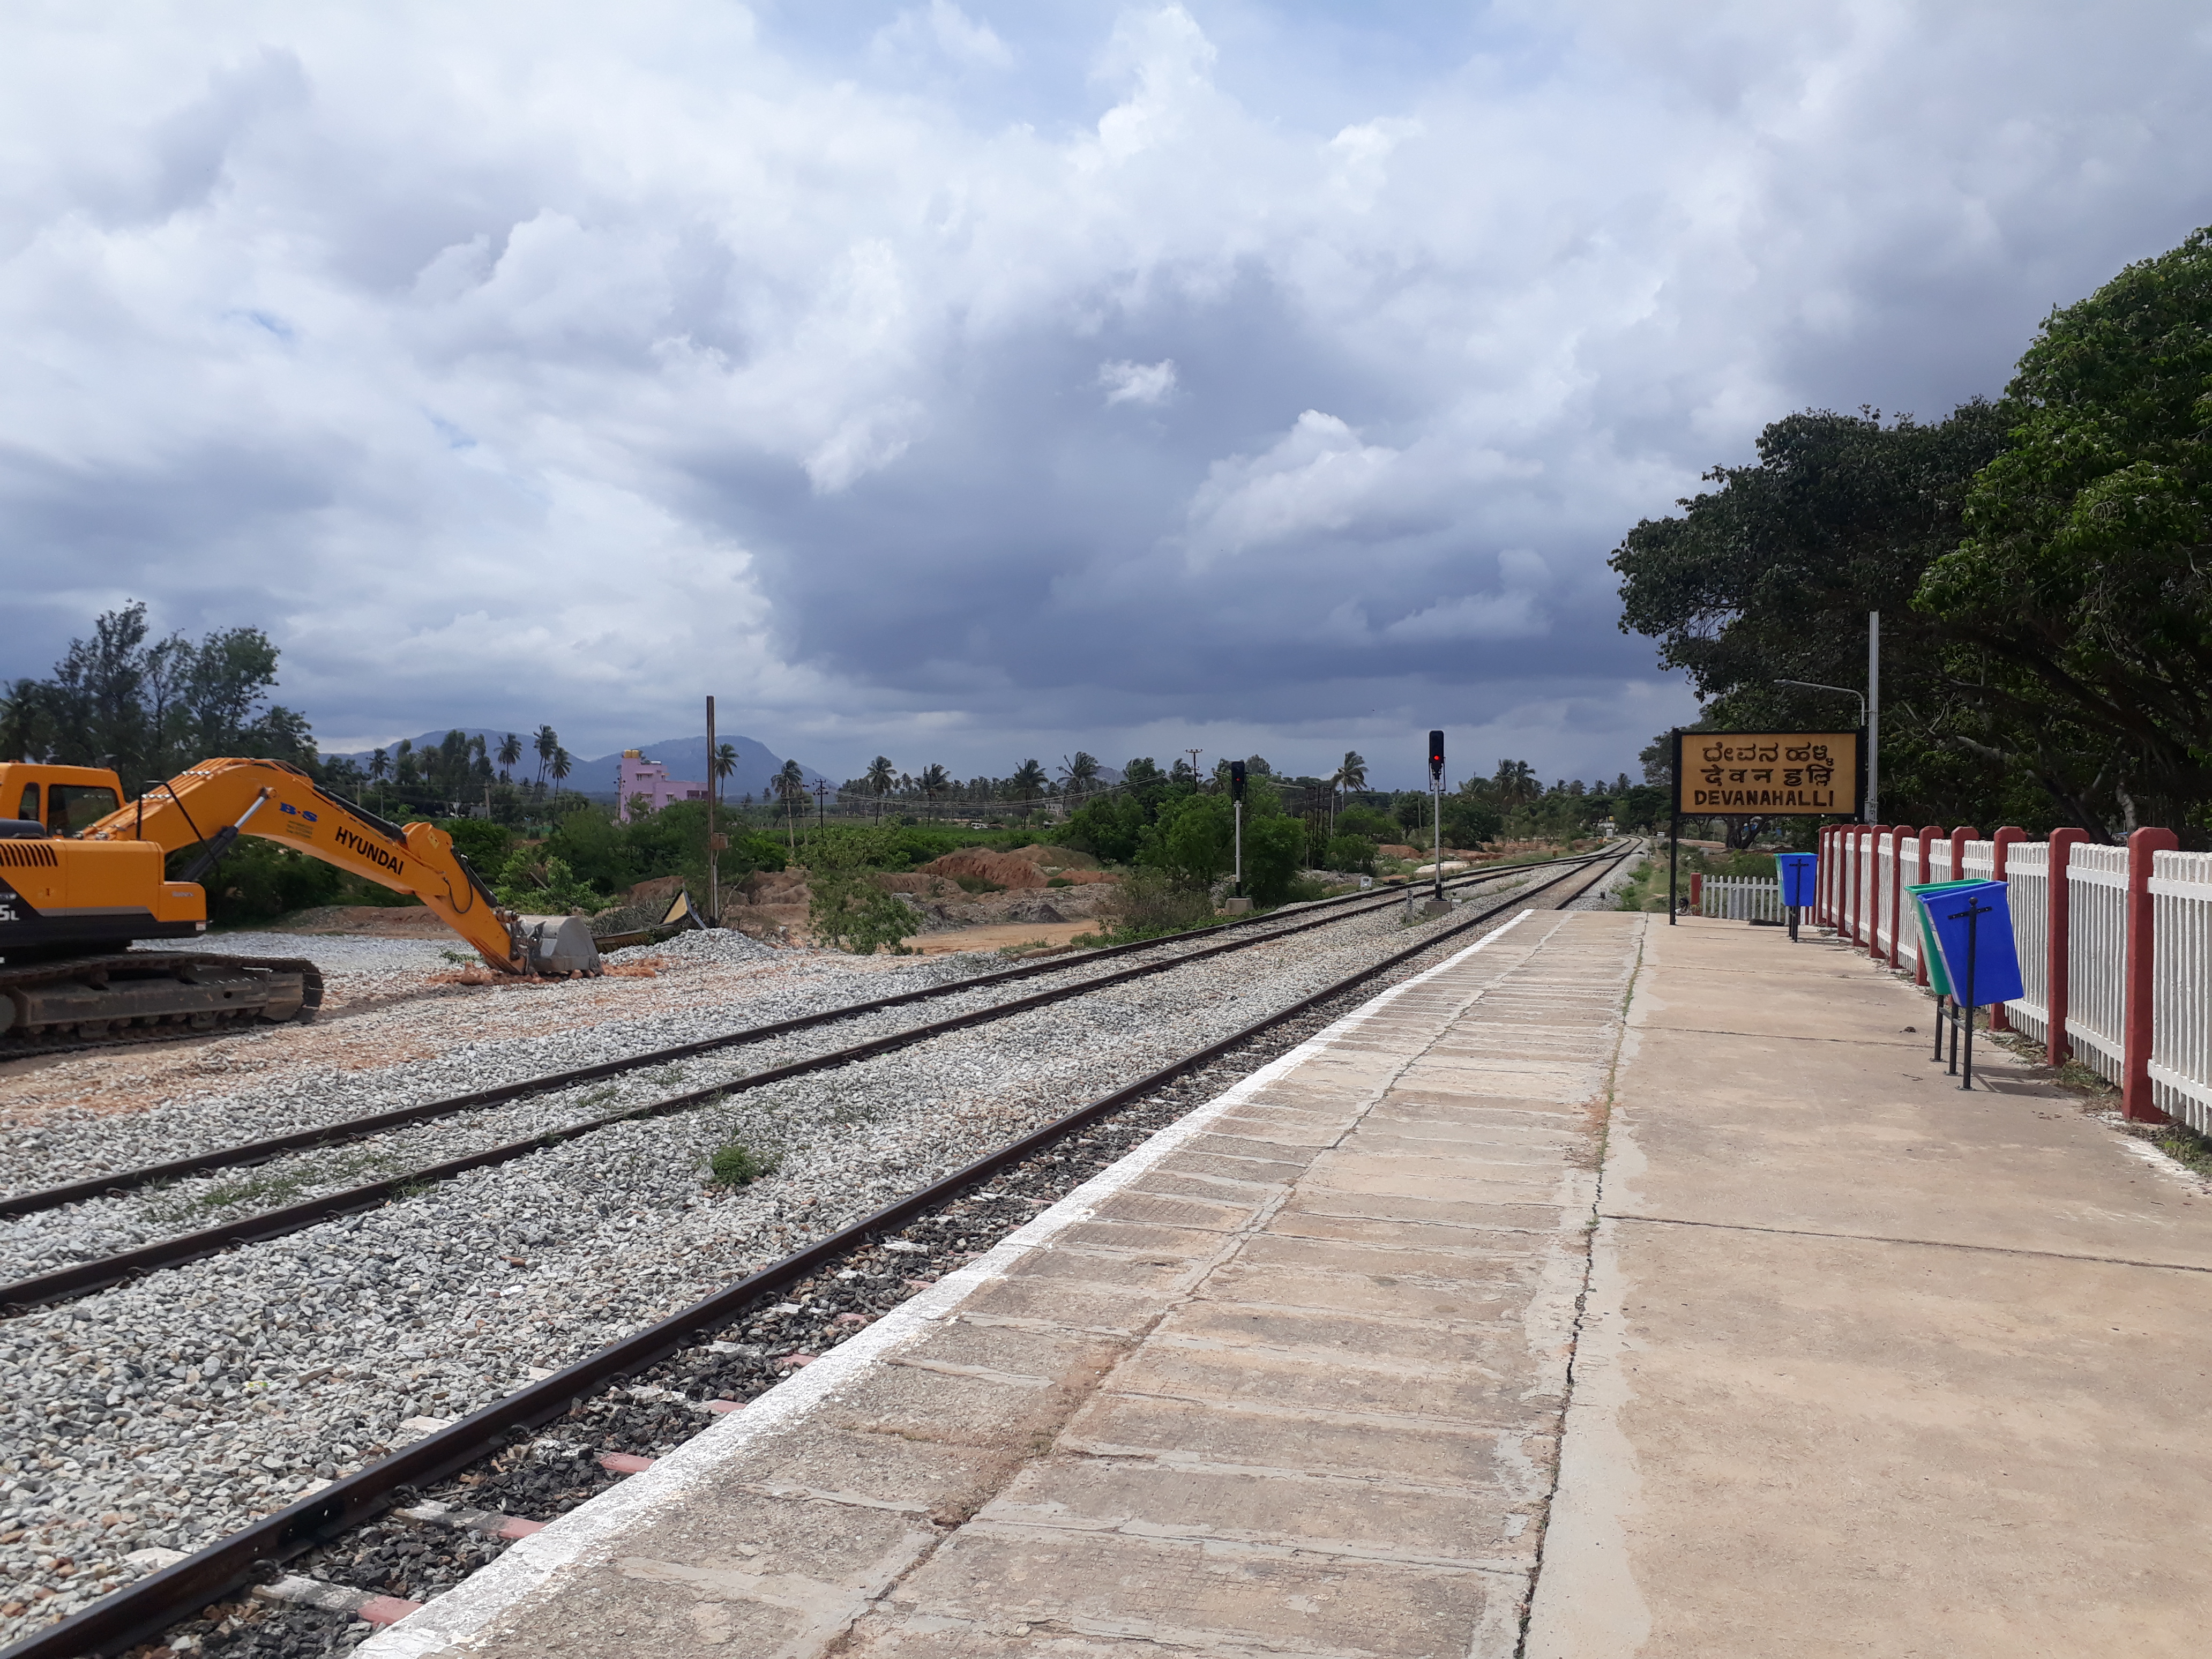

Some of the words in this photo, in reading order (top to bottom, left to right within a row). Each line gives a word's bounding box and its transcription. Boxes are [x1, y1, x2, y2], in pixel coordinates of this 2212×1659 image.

[1699, 735, 1780, 768] ದೇವನ
[1782, 738, 1836, 771] ಹಳ್ಳ
[1697, 759, 1779, 789] देवन
[1777, 758, 1837, 790] हल्लि
[1693, 785, 1839, 809] DEVANAHALLI
[331, 820, 407, 878] HYUNDAI